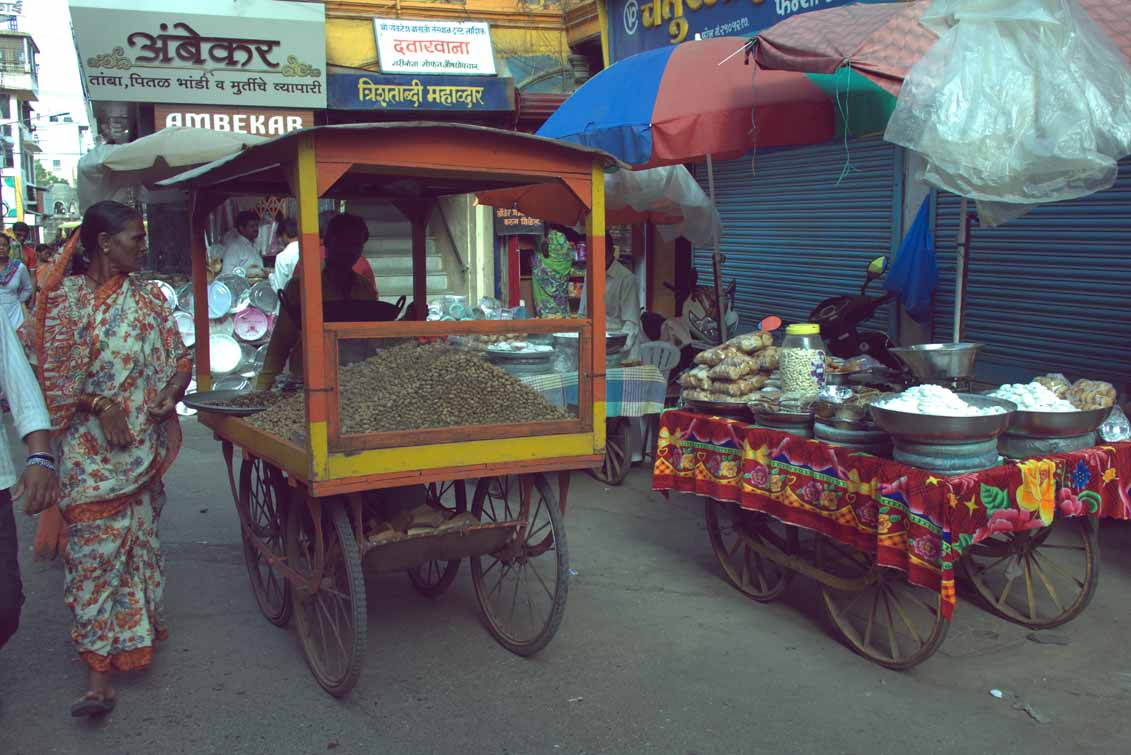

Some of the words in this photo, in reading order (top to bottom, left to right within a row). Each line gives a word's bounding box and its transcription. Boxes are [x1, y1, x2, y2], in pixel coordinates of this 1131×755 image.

[117, 14, 286, 71] अंबेकर
[390, 39, 472, 57] दवाखाना
[85, 71, 124, 91] तांबा
[127, 69, 175, 89] पितळ
[173, 73, 209, 91] भांडी
[228, 73, 269, 95] मुर्तीचे
[271, 78, 320, 97] व्यापारी
[355, 75, 424, 109] त्रिशताब्दी
[425, 82, 484, 107] महाव्दर
[161, 107, 304, 137] AMBEKAR